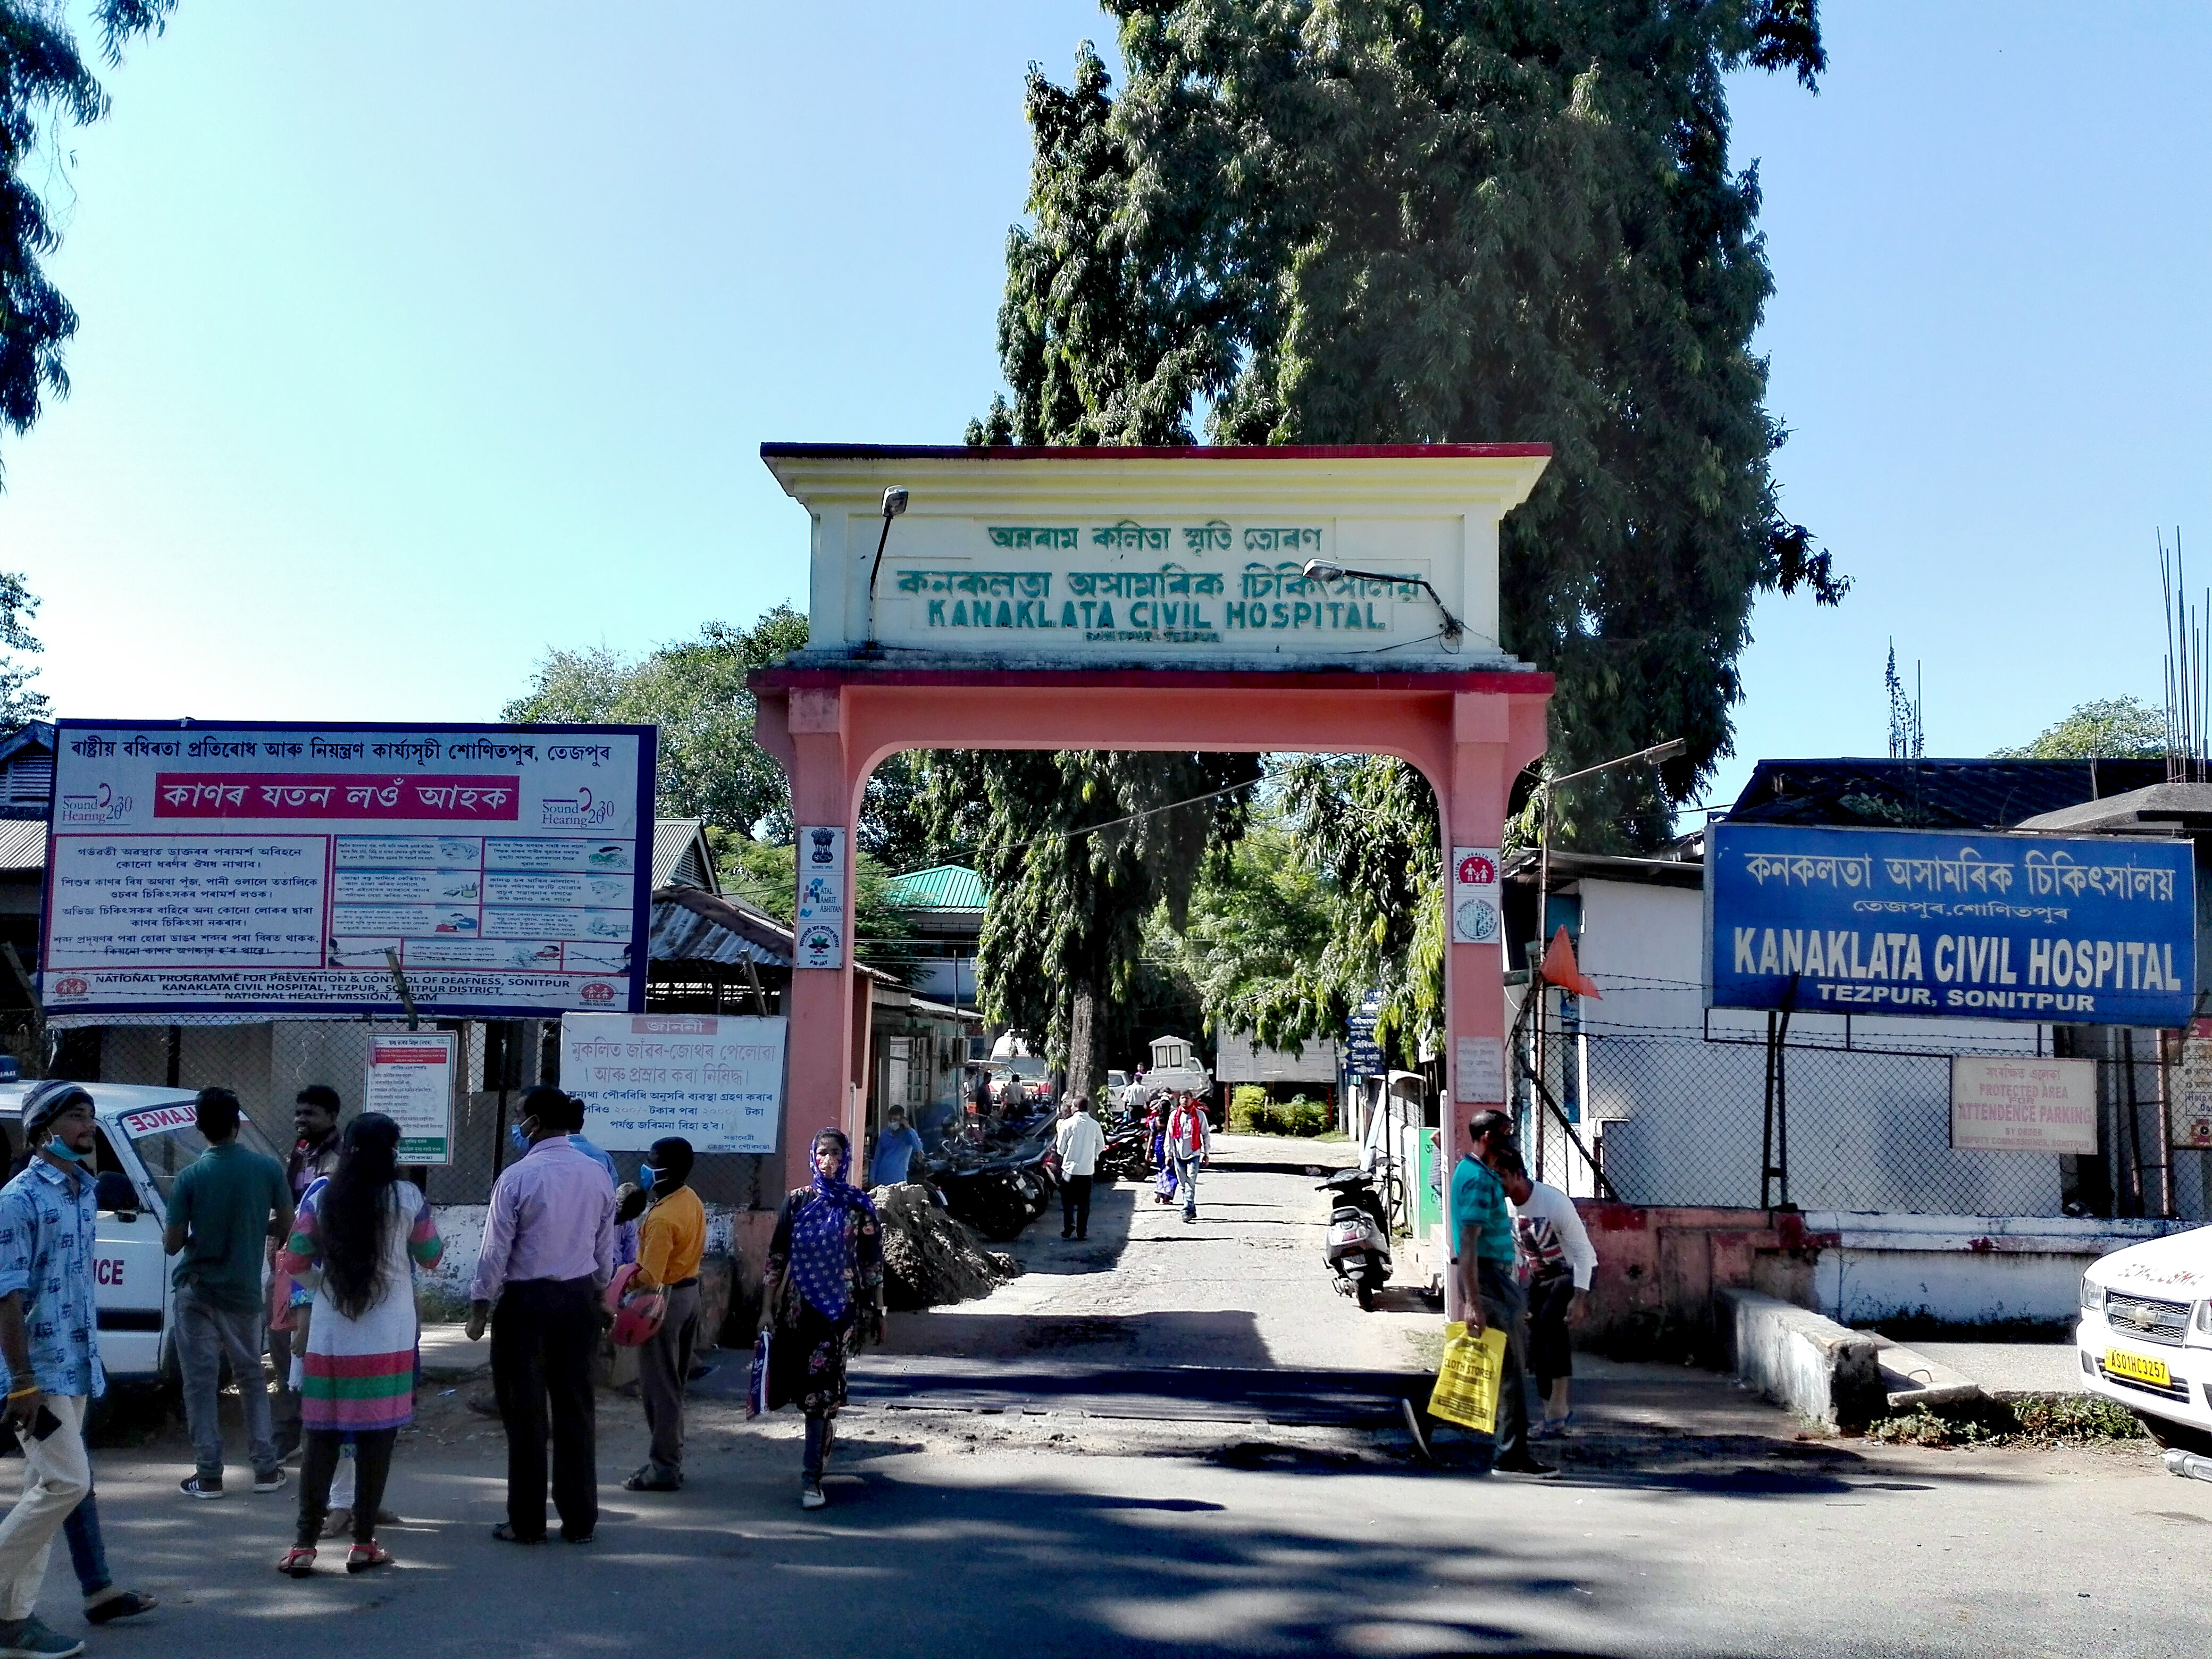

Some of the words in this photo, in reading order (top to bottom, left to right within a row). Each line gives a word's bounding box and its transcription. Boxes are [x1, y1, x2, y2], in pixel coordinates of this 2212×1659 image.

[984, 522, 1083, 555] অন্নৰাম
[1086, 518, 1171, 557] কলিতা
[1177, 516, 1235, 562] স্মৃতি
[1235, 523, 1327, 559] তোৰণ
[895, 566, 1053, 601] কনকলতা
[1064, 559, 1229, 602] অসামৰিক
[1234, 556, 1323, 602] চিকি
[926, 593, 1118, 631] KANAKLATA
[1122, 597, 1214, 633] CIVIL
[1222, 599, 1389, 634] HOSPITAL
[71, 733, 118, 762] ৰাষ্ট্ৰীয়
[119, 732, 183, 759] বধিৰতা
[184, 730, 259, 759] প্রতিৰোধ
[263, 733, 306, 764] আৰু
[303, 733, 364, 764] নিয়ন্ত্ৰণ
[367, 734, 445, 768] কাৰ্য্যসূচী
[444, 733, 540, 768] শোণিতপুৰ,
[543, 742, 613, 770] তেজপুৰ
[59, 794, 100, 813] Sound
[160, 778, 253, 810] কাণৰ
[258, 782, 338, 812] যতন
[342, 774, 406, 812] লওঁ
[414, 782, 514, 814] আহক
[538, 796, 580, 817] Sound
[59, 806, 110, 827] Hearing
[540, 812, 594, 831] Hearing
[76, 842, 121, 860] গর্ভবতী
[121, 843, 165, 859] অৱস্থাত
[165, 843, 211, 858] ডাক্তৰৰ
[214, 843, 256, 859] পৰামর্শ
[258, 843, 304, 860] অবিহনে
[47, 932, 74, 945] শব্দ
[58, 871, 94, 889] শিশুৰ
[61, 899, 97, 917] অভিজ্ঞ
[76, 932, 116, 948] প্ৰদূষণৰ
[93, 874, 124, 889] কাণৰ
[108, 885, 141, 900] ওচৰৰ
[95, 901, 156, 916] চিকিৎসকৰ
[113, 931, 138, 945] পৰা
[111, 858, 154, 872] কোনো
[123, 871, 144, 888] বিষ
[127, 917, 160, 931] কাণৰ
[139, 928, 169, 945] হোৱা
[144, 873, 178, 889] অথবা
[139, 883, 199, 899] চিকিৎসকৰ
[155, 900, 190, 917] বাহিবে
[156, 856, 192, 871] ধৰণৰ
[156, 913, 207, 929] চিকিৎসা
[166, 929, 198, 945] ডাঙব
[178, 874, 203, 890] পূজা
[189, 901, 215, 916] অন্য
[190, 854, 219, 869] ঔষধ
[199, 928, 228, 944] শব্দৰ
[205, 872, 232, 889] পানী
[201, 887, 238, 900] পৰামর্শ
[204, 914, 247, 930] নকৰাব৷
[215, 902, 254, 919] কোনো
[219, 856, 260, 871] নাখাব
[230, 927, 255, 946] পৰা
[231, 874, 273, 887] ওলালে
[238, 887, 268, 901] লওক
[251, 928, 284, 946] বিৰত
[250, 900, 291, 918] লোকৰ
[269, 869, 321, 890] ততালিকে
[282, 930, 319, 945] থাকক
[287, 903, 317, 918] দ্বাৰা
[796, 924, 815, 949] प्रधानमंत्री
[816, 923, 837, 937] आरोग्य
[818, 883, 836, 898] ATAL
[815, 893, 839, 906] AMRIT
[816, 903, 845, 915] ABHIYAN
[1744, 849, 1878, 892] কনকলতা
[1850, 897, 1948, 923] তেজপুৰ
[1884, 843, 2018, 898] অসামৰিক
[1952, 898, 2071, 929] শোণিতপুৰ
[2019, 846, 2176, 903] চিকিৎসালয়
[99, 943, 143, 959] কিয়নো
[142, 945, 173, 956] কাণৰ
[172, 943, 219, 957] অপকাৰ
[215, 943, 238, 956] হ'ব
[238, 944, 269, 957] পারে
[1732, 927, 1925, 983] KANAKLATA
[1931, 929, 2020, 987] CIVIL
[2027, 936, 2183, 991] HOSPITAL
[94, 971, 157, 984] NATIONAL
[159, 979, 233, 992] KANAKLATA
[156, 970, 241, 985] PROGRAMME
[230, 979, 266, 993] CIVIL
[221, 990, 288, 1001] NATIONAL
[241, 968, 269, 983] FOR
[264, 979, 326, 993] HOSPITAL,
[267, 971, 347, 985] PREVENTION
[287, 988, 338, 1001] HEALTH
[328, 981, 378, 994] TEZPUR
[345, 970, 363, 984] &
[332, 991, 390, 1003] MISSION
[361, 972, 421, 985] CONTOL
[418, 971, 440, 986] OF
[440, 974, 504, 987] DEAFNESS,
[446, 983, 502, 995] DISTRICT
[506, 975, 572, 988] SONITPUR
[1815, 982, 1935, 1008] TEZPUR,
[1946, 984, 2099, 1013] SONITPUR
[643, 1013, 705, 1036] জাননী
[568, 1030, 624, 1065] মুকলিত
[625, 1033, 665, 1062] জাঁৱৰ
[666, 1037, 716, 1064] জোথৰ
[717, 1040, 778, 1063] পেলোৱা
[590, 1063, 632, 1087] আৰু
[629, 1062, 667, 1086] প্ৰস্ৰাৱ
[668, 1065, 701, 1086] কৰা
[700, 1058, 746, 1087] নিষিদ্ধ
[1983, 1060, 2028, 1082] সংৰক্ষিত
[2027, 1065, 2064, 1083] এলেকা
[566, 1086, 601, 1101] অন্যথা
[599, 1084, 650, 1103] পৌৰবিধি
[646, 1087, 686, 1107] অনুসৰি
[685, 1087, 719, 1104] ব্যৱস্থা
[716, 1088, 744, 1105] গ্ৰহণ
[745, 1087, 776, 1105] কৰাৰ
[1975, 1081, 2044, 1100] PROTECTED
[2007, 1092, 2038, 1105] FOR
[2039, 1081, 2072, 1101] AREA
[581, 1100, 613, 1116] পৰিও
[645, 1101, 677, 1118] টকাৰ
[676, 1102, 700, 1118] পৰা
[1956, 1099, 2039, 1125] ATTENDENCE
[2036, 1101, 2097, 1126] PARKING
[609, 1116, 638, 1131] পৰ্যন্ত
[636, 1117, 678, 1132] জৰিমনা
[676, 1115, 701, 1135] বিহা
[700, 1117, 726, 1133] হ'ব
[706, 1139, 739, 1152] তেজপুৰ
[718, 1130, 757, 1144] সভানেত্রী
[2002, 1123, 2016, 1137] BY